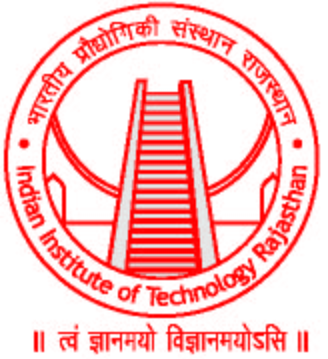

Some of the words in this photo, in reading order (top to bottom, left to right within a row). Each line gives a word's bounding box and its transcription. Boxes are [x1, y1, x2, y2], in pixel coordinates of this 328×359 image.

[67, 11, 163, 68] प्रौद्योगिकी
[167, 13, 239, 60] संस्थान
[23, 57, 78, 131] भारतीय
[238, 45, 302, 130] राजस्थान
[12, 161, 50, 234] Indian
[247, 161, 310, 267] Rajasthan
[34, 225, 118, 299] Institute
[113, 279, 147, 307] of
[144, 255, 261, 311] Technology
[57, 320, 85, 356] त्वं
[86, 319, 159, 358] ज्ञानमयो
[161, 317, 289, 355] विज्ञानमयोऽसि